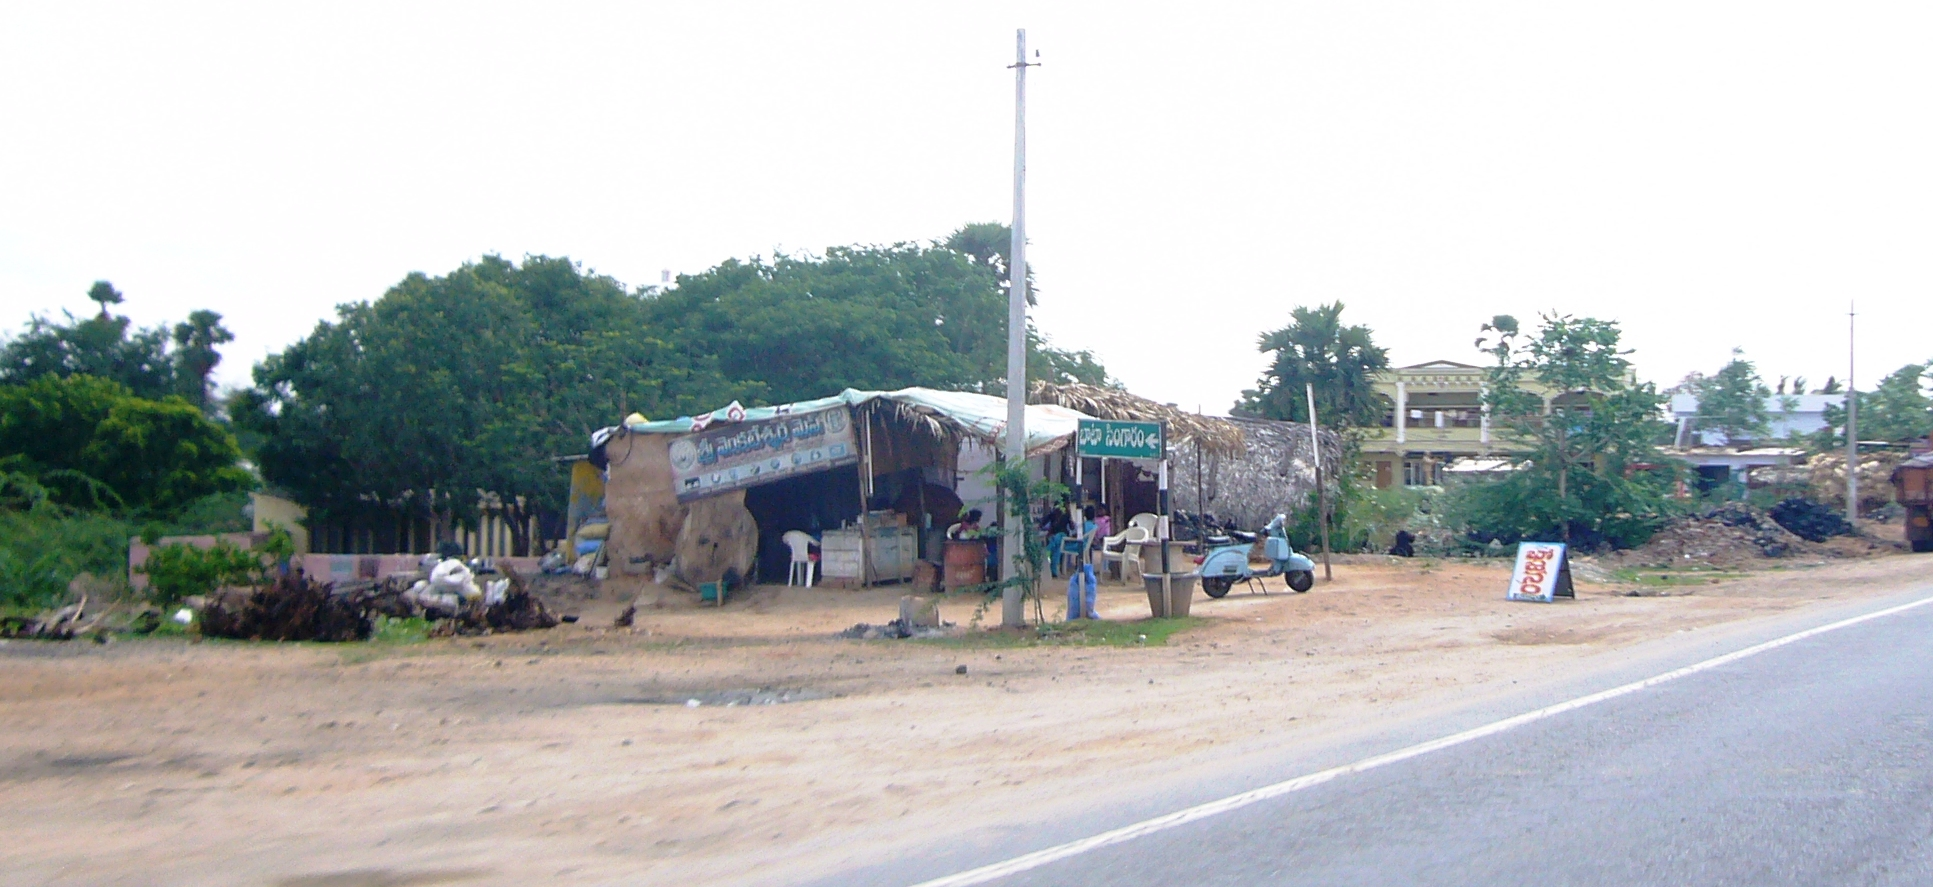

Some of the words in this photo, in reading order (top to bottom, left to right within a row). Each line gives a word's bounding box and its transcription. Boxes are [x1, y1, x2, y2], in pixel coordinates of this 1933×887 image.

[709, 412, 794, 463] వెంకటేశ్వర
[781, 409, 830, 439] మెస
[1072, 415, 1108, 449] బాటా
[1099, 419, 1149, 453] సింగారం